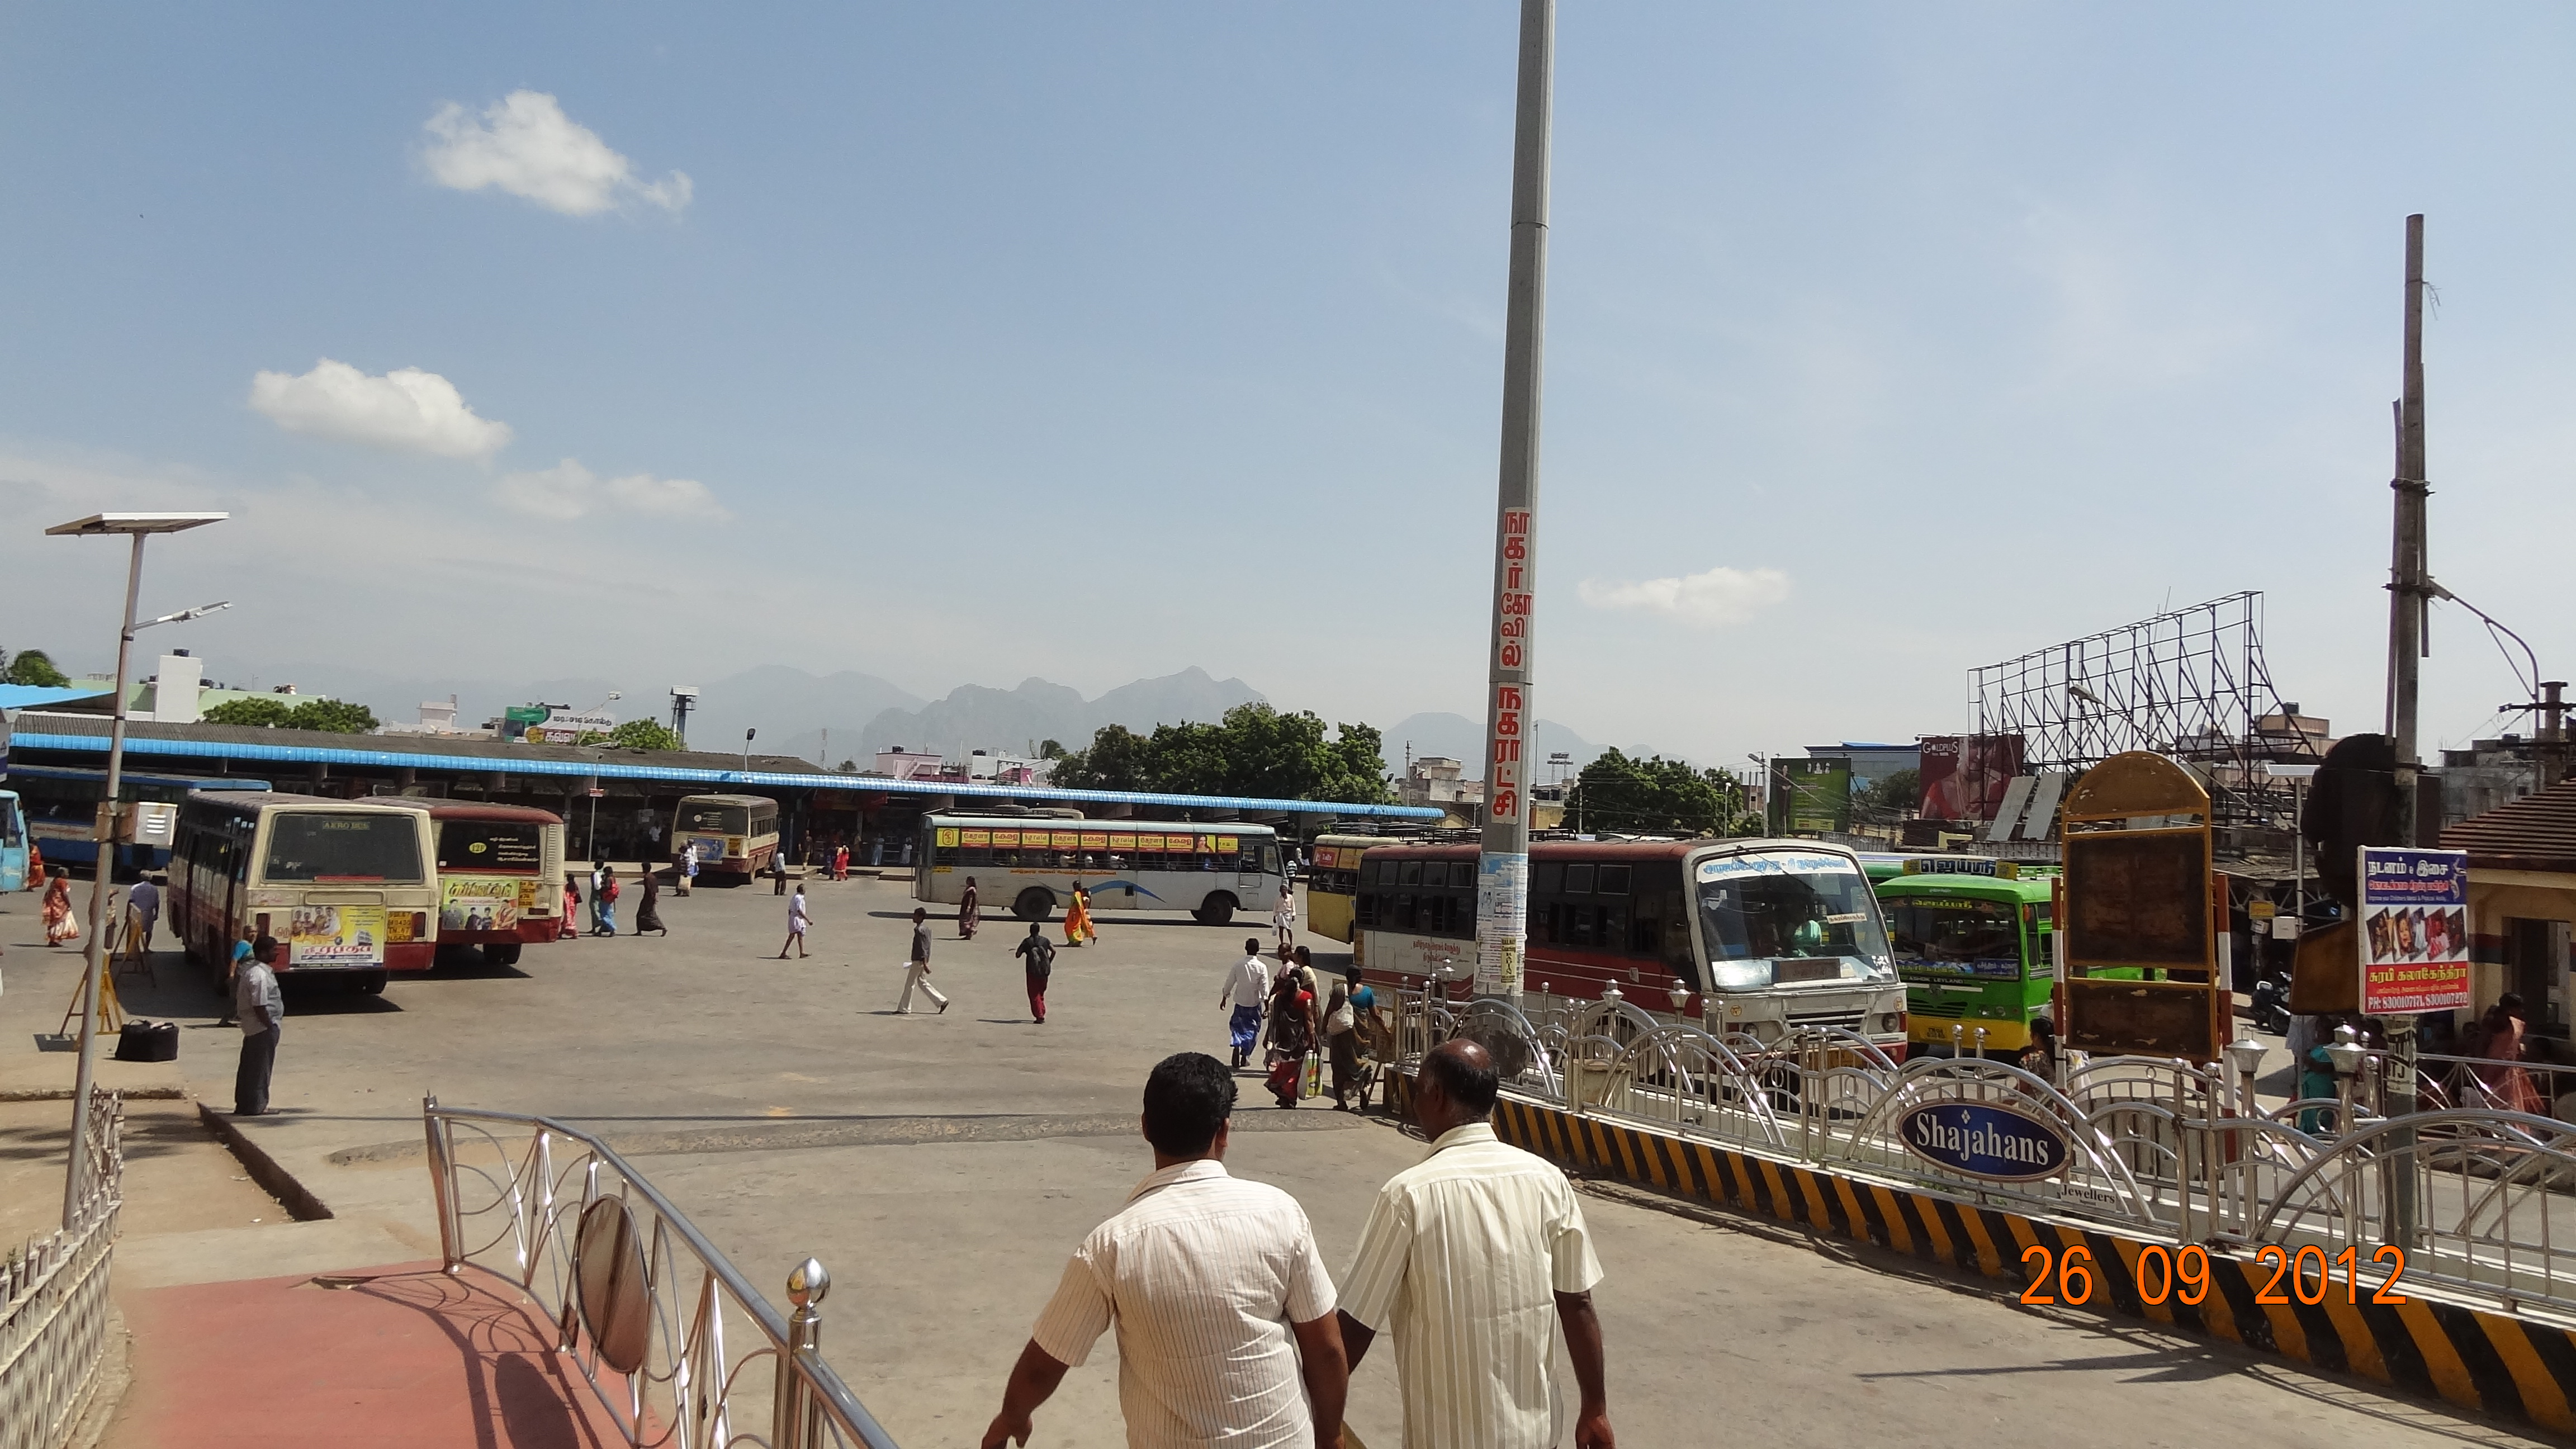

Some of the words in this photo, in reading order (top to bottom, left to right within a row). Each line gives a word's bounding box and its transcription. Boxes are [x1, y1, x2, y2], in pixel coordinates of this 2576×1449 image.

[1499, 508, 1533, 669] நாகா்கோவில்
[551, 711, 585, 727] 100:016
[541, 728, 581, 745] கல்எ
[1491, 684, 1523, 819] நகராட்சி
[1920, 737, 1961, 756] GOLDPWS
[993, 829, 1021, 844] കേരള
[1022, 830, 1049, 842] Kerala
[1079, 833, 1107, 845] കേരള
[1110, 834, 1135, 845] Kerala
[1166, 834, 1195, 847] കേരള
[1919, 852, 1997, 878] ஜெய்ஸ்ரீ
[2365, 852, 2408, 878] நடனம்
[2413, 856, 2451, 879] இசை
[2366, 963, 2396, 986] சுரபி
[2397, 960, 2469, 983] கலாகேந்திரா
[2366, 988, 2470, 1011] PH: 8300107171.8300107272
[1910, 1107, 2051, 1173] Shajahans
[2014, 1232, 2408, 1310] 26092012